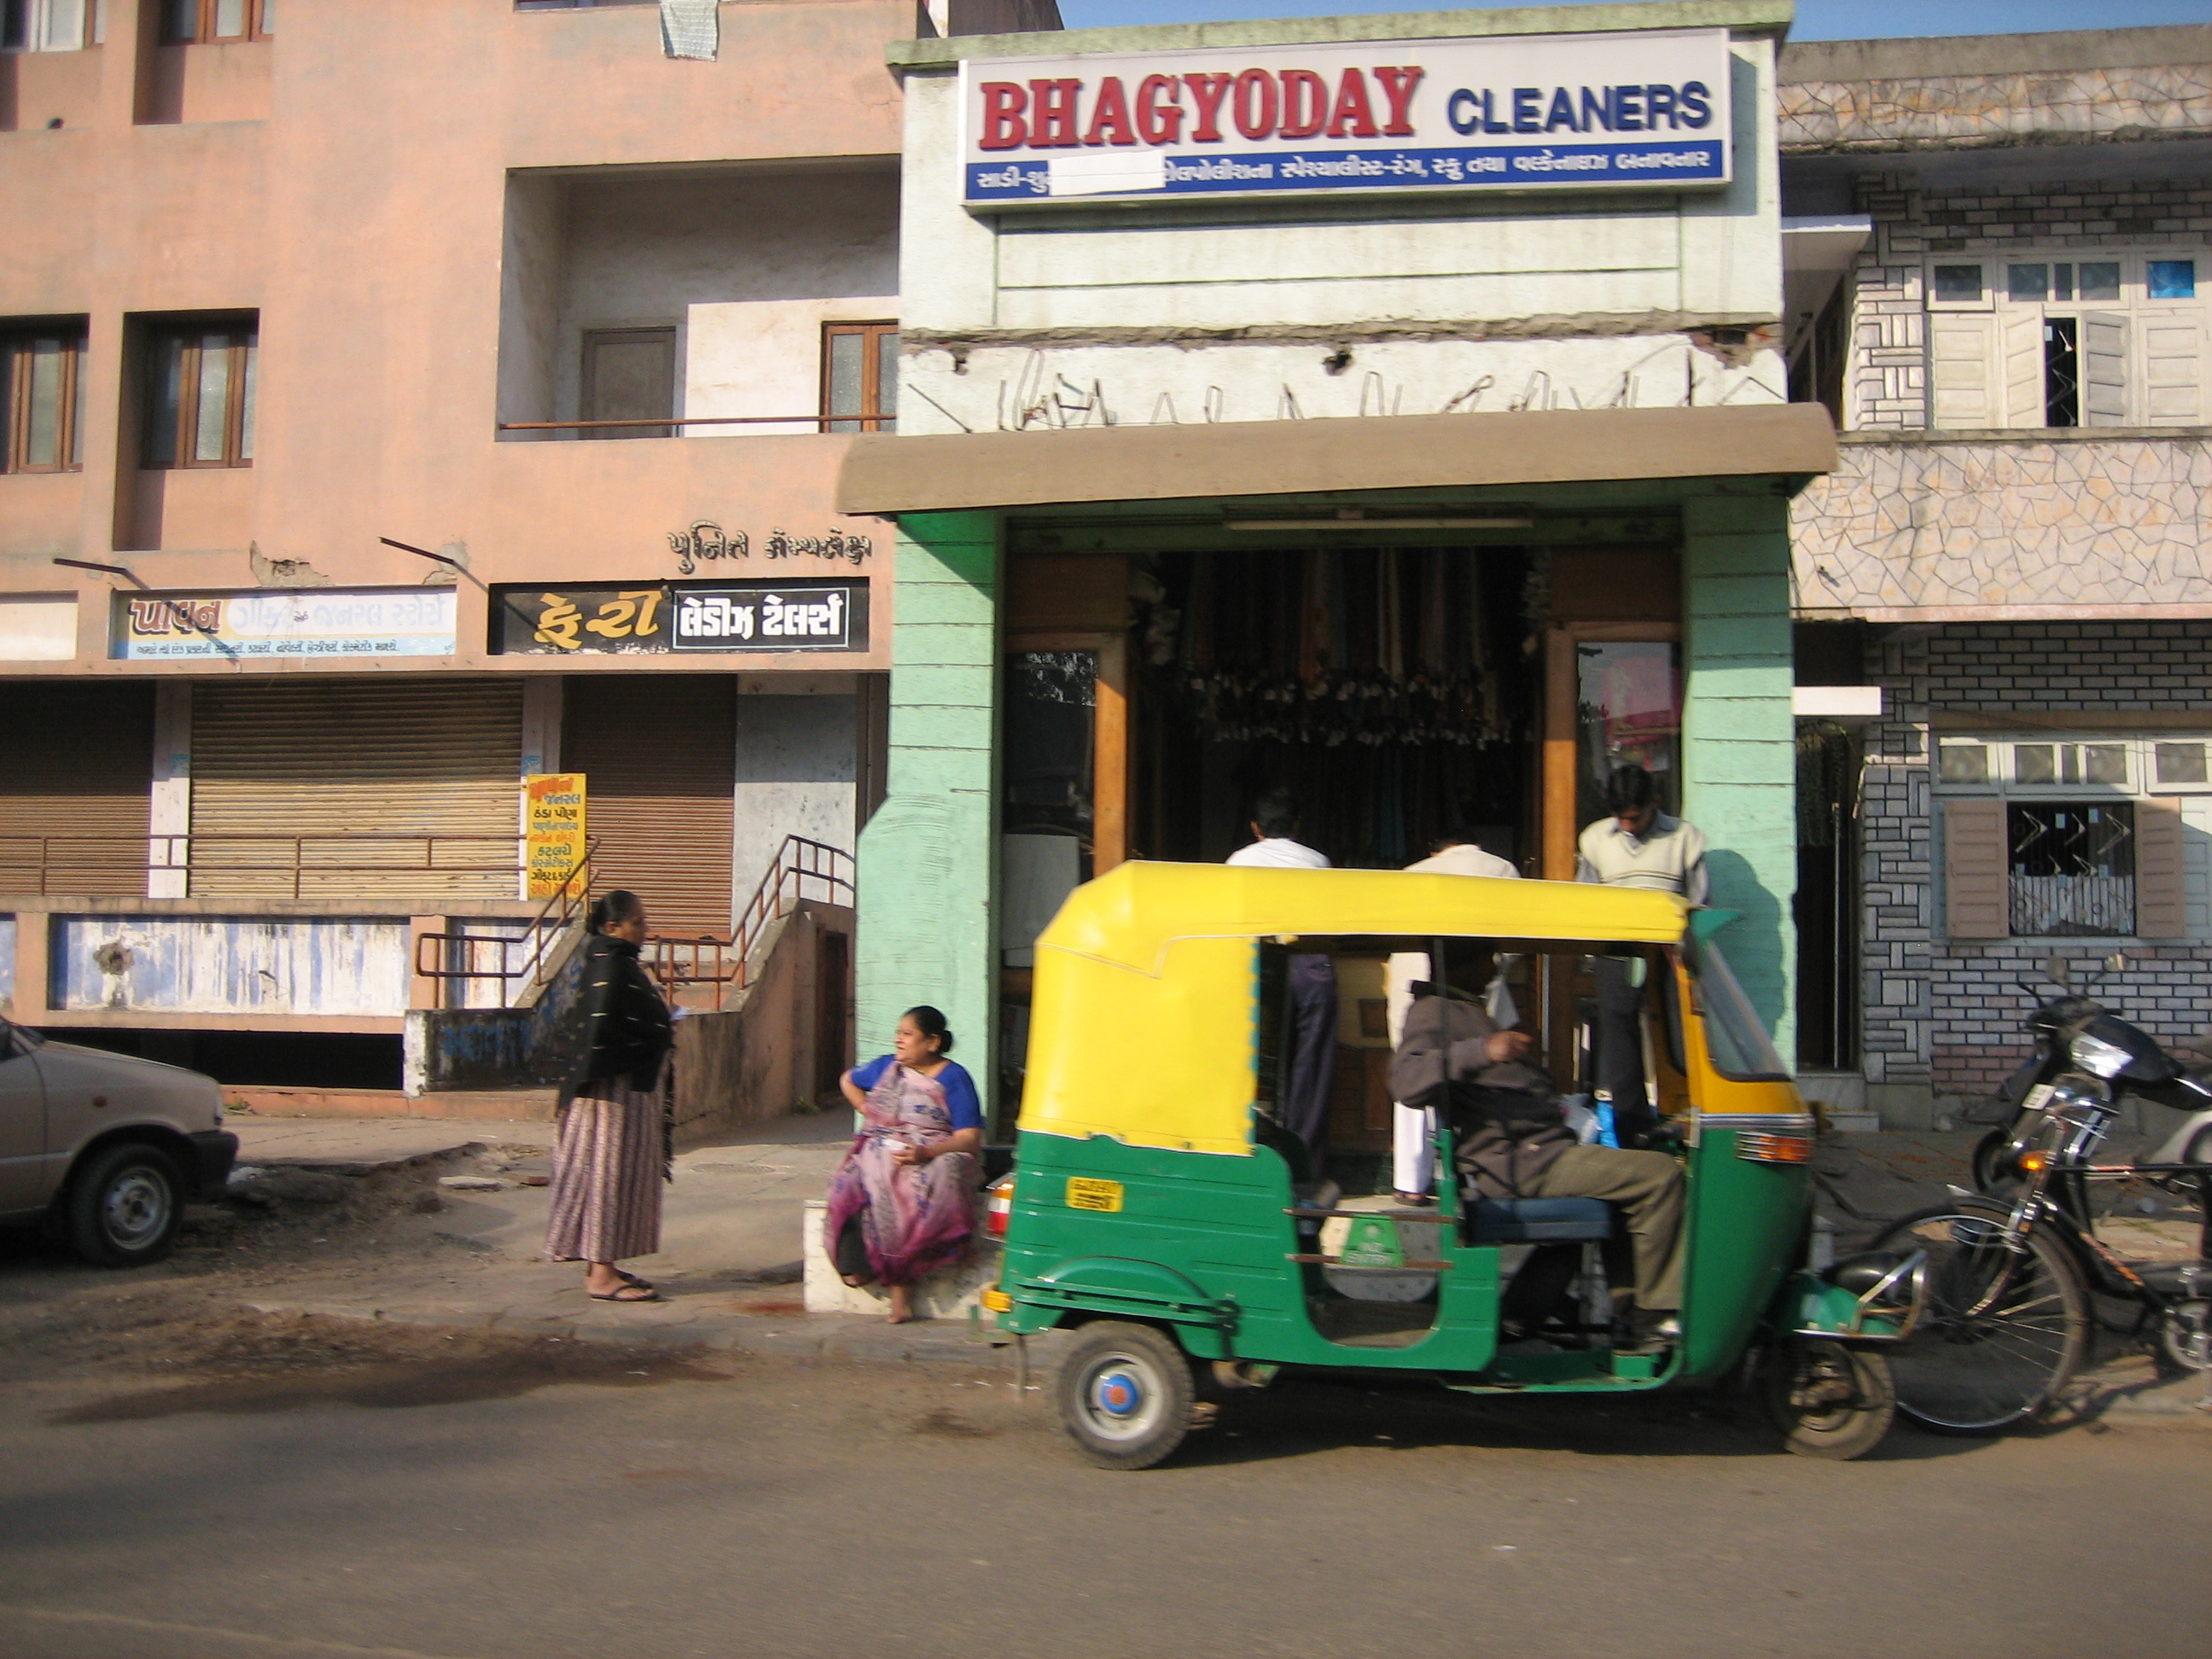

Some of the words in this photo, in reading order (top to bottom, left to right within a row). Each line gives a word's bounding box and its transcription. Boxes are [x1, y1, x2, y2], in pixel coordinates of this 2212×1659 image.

[983, 66, 1418, 147] BHAGYODAY
[1447, 79, 1708, 135] CLEANERS
[1431, 155, 1458, 173] સ્ક
[660, 516, 752, 579] પુનિત
[765, 527, 878, 568] કોમ્પલેક્ષ
[578, 591, 660, 643] રી
[669, 597, 756, 644] લેડીઝ
[754, 591, 850, 643] ટેલર્સ